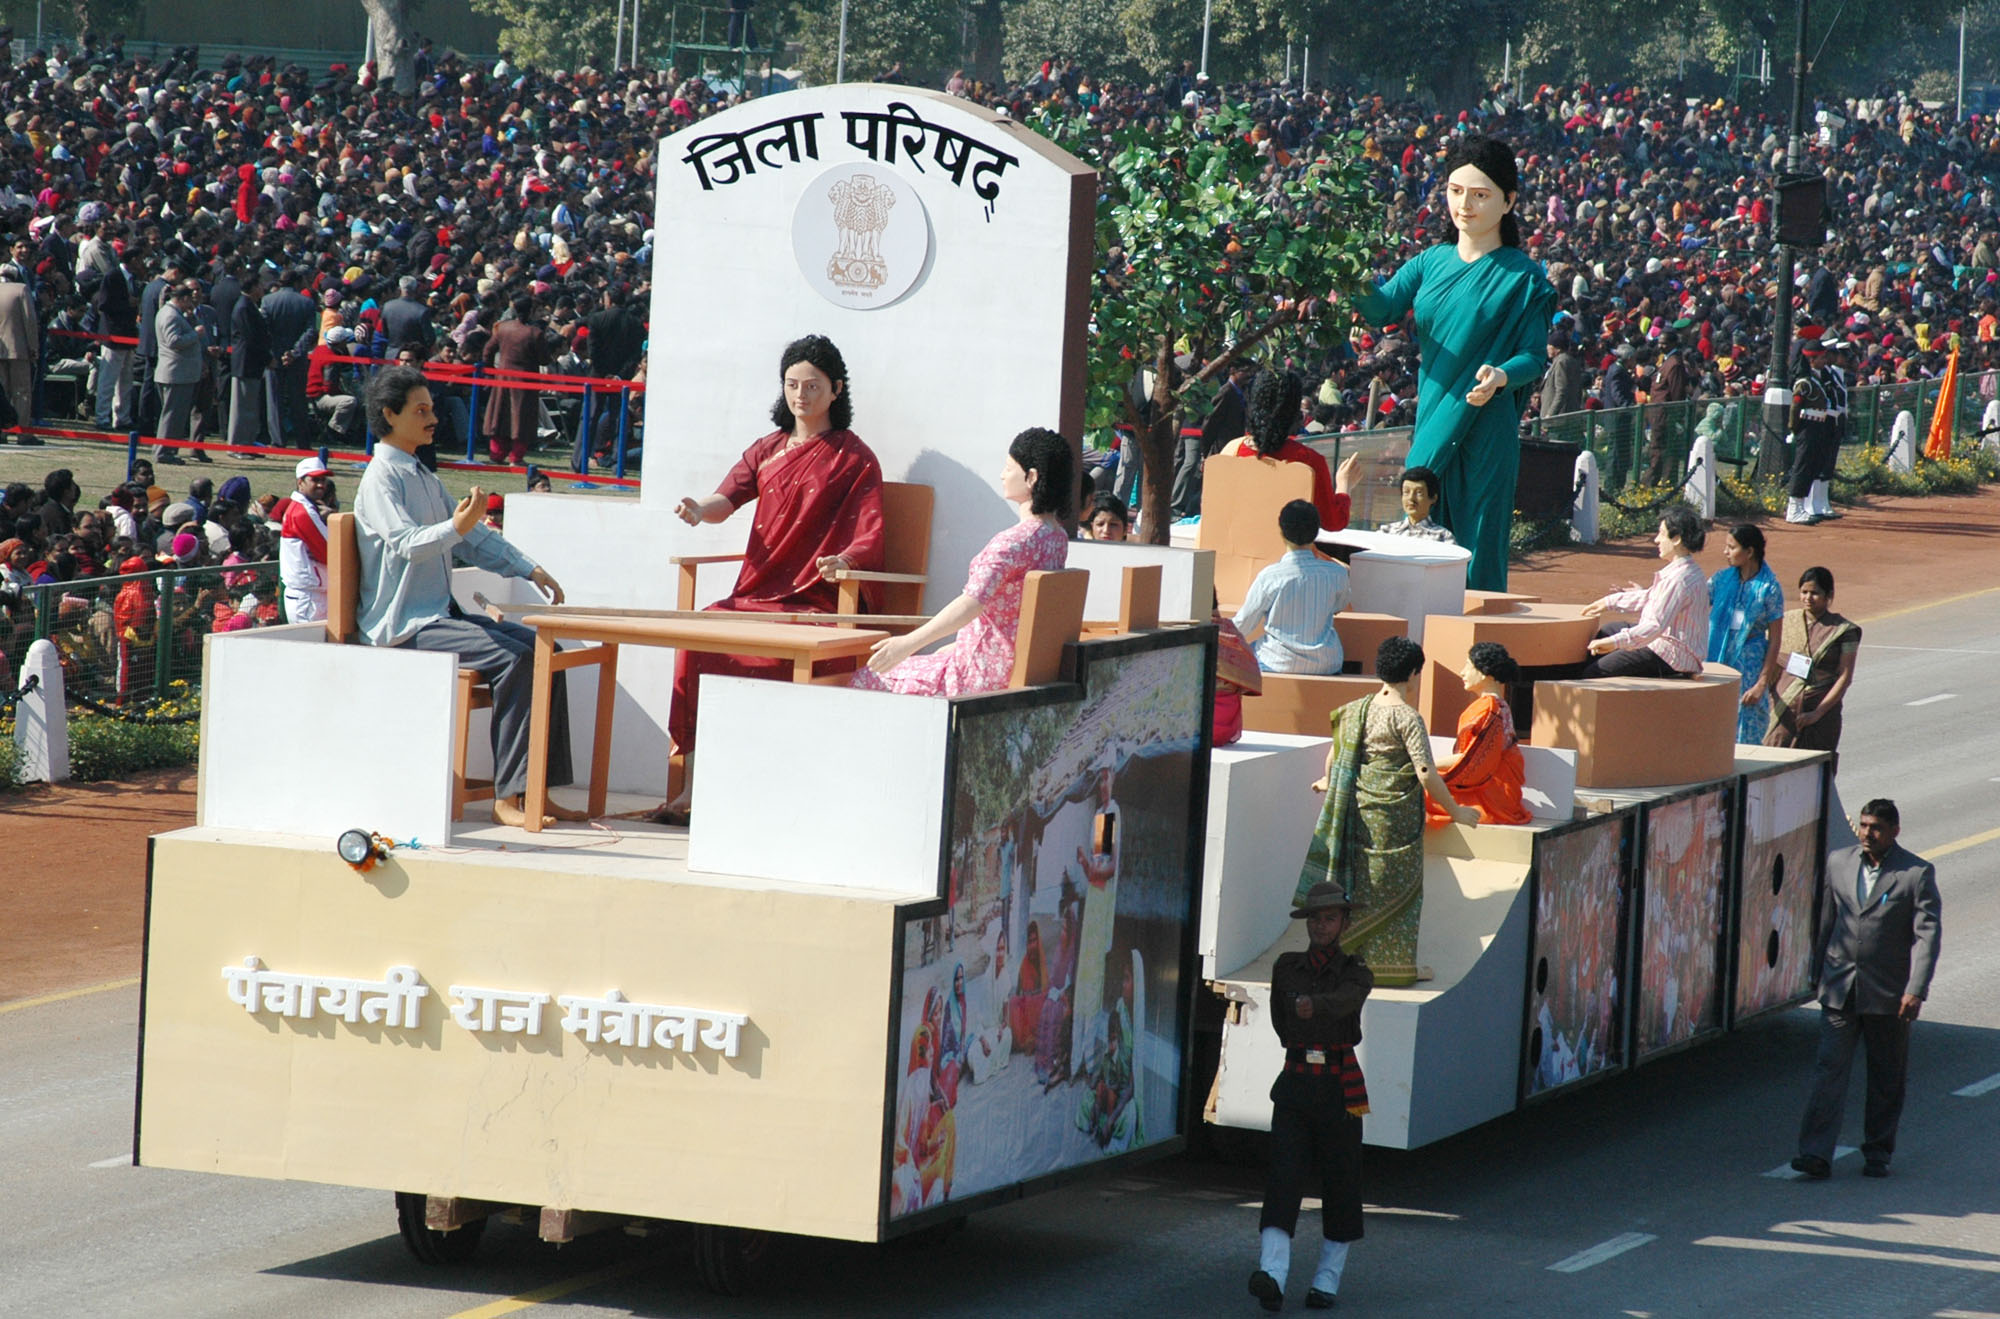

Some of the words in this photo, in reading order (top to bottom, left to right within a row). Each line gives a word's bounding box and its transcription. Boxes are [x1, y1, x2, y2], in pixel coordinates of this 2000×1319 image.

[679, 111, 824, 197] जिला
[839, 97, 1023, 228] परिषद्
[222, 953, 427, 1029] पंचायती
[449, 983, 551, 1037] राज
[557, 988, 749, 1057] मंत्रालय